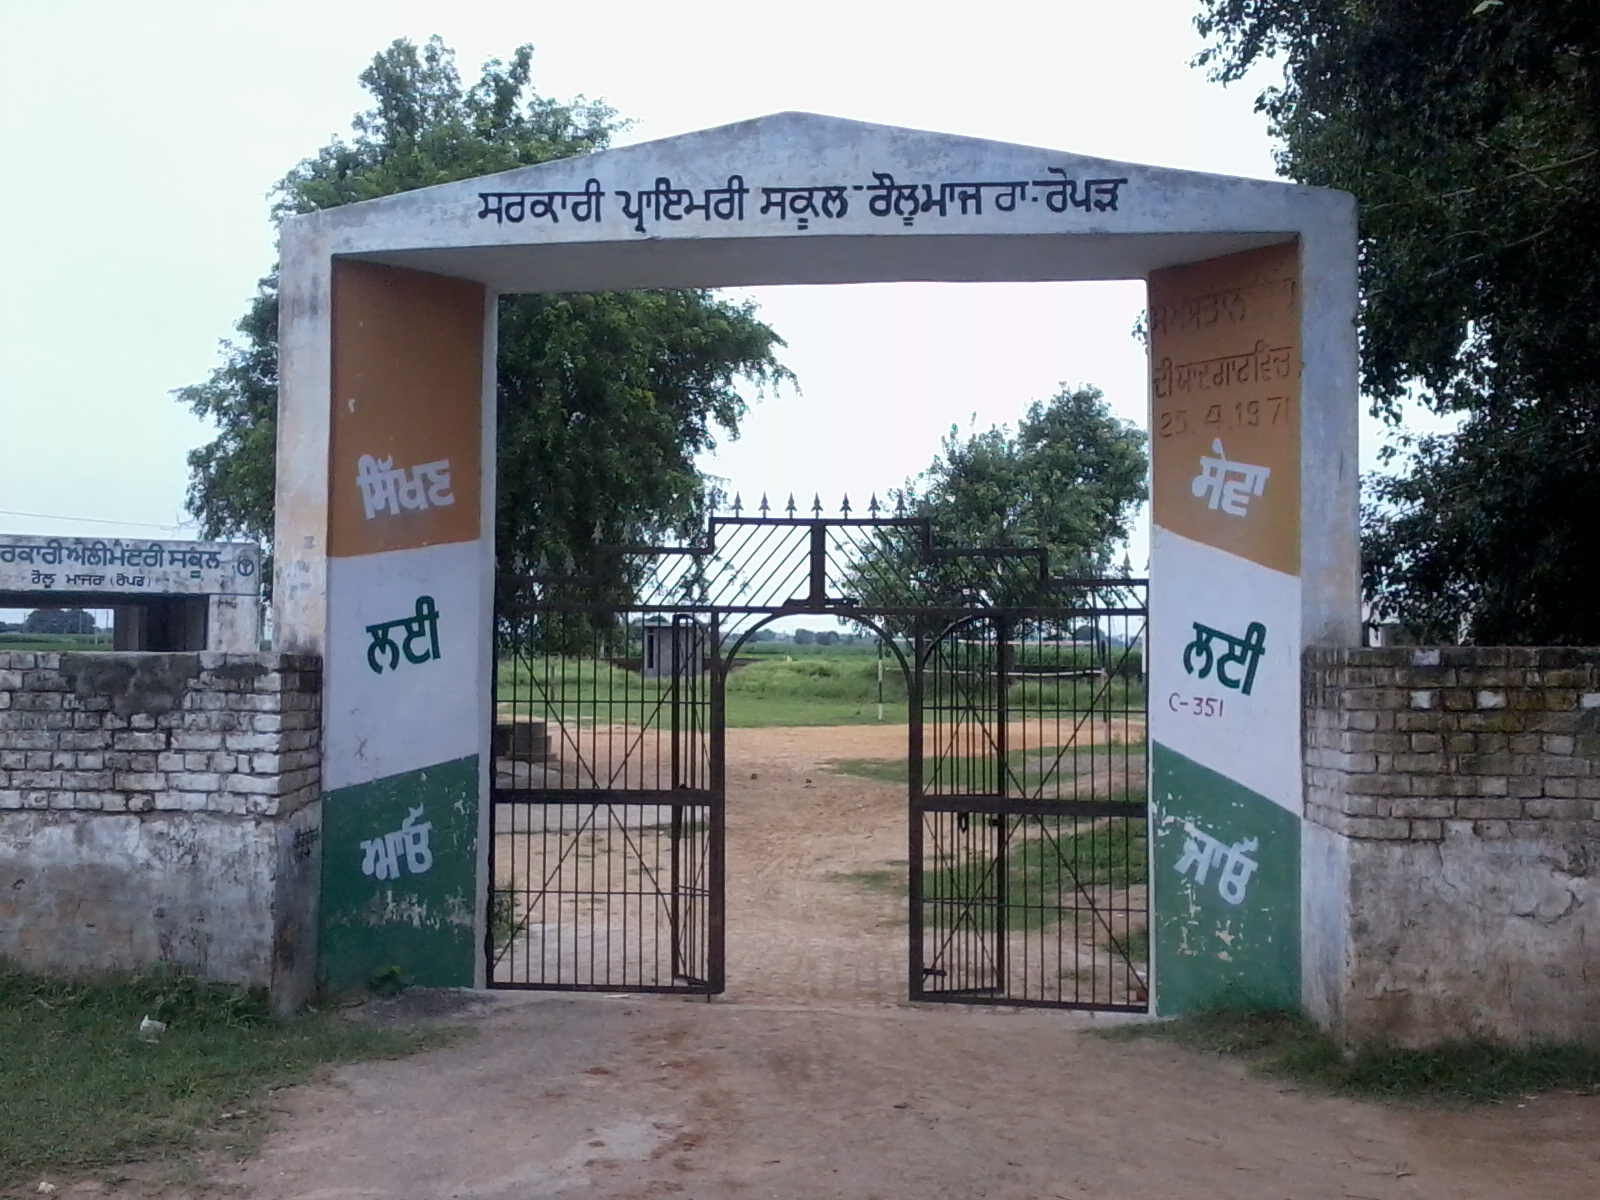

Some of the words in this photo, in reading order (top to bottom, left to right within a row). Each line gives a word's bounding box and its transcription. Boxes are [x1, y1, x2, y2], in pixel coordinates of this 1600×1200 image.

[466, 174, 611, 233] ਸਰਕਾਰੀ
[609, 167, 753, 235] ਪ੍ਰਾਇਮਰੀ
[750, 171, 854, 234] ਸਕੂਲ
[861, 156, 1143, 231] ਰੌਲੂਮਾਜਰਾਰੇਪੜ
[1149, 348, 1175, 405] ਦੀ
[1154, 405, 1202, 443] 25.
[1200, 395, 1231, 437] 4
[1232, 389, 1295, 433] 1971
[340, 440, 465, 532] ਸਿੱਖਣ
[1179, 431, 1281, 526] ਸੇਵਾ
[0, 535, 65, 570] ਰਕਾਰੀ
[25, 566, 59, 591] ਰੋਲੁ
[61, 566, 111, 590] ਮਾਜਰਾ
[63, 537, 170, 571] ਐਲੀਮੈਂਟਰੀ
[109, 568, 150, 589] ਰੋਪਰ
[165, 543, 225, 582] ਸਕੂਨ
[358, 593, 445, 680] ਲਈ
[1174, 595, 1270, 700] ਲਈ
[1163, 686, 1226, 721] C-351
[348, 792, 446, 891] ਆਓ
[1155, 805, 1277, 916] ਜਾਓ